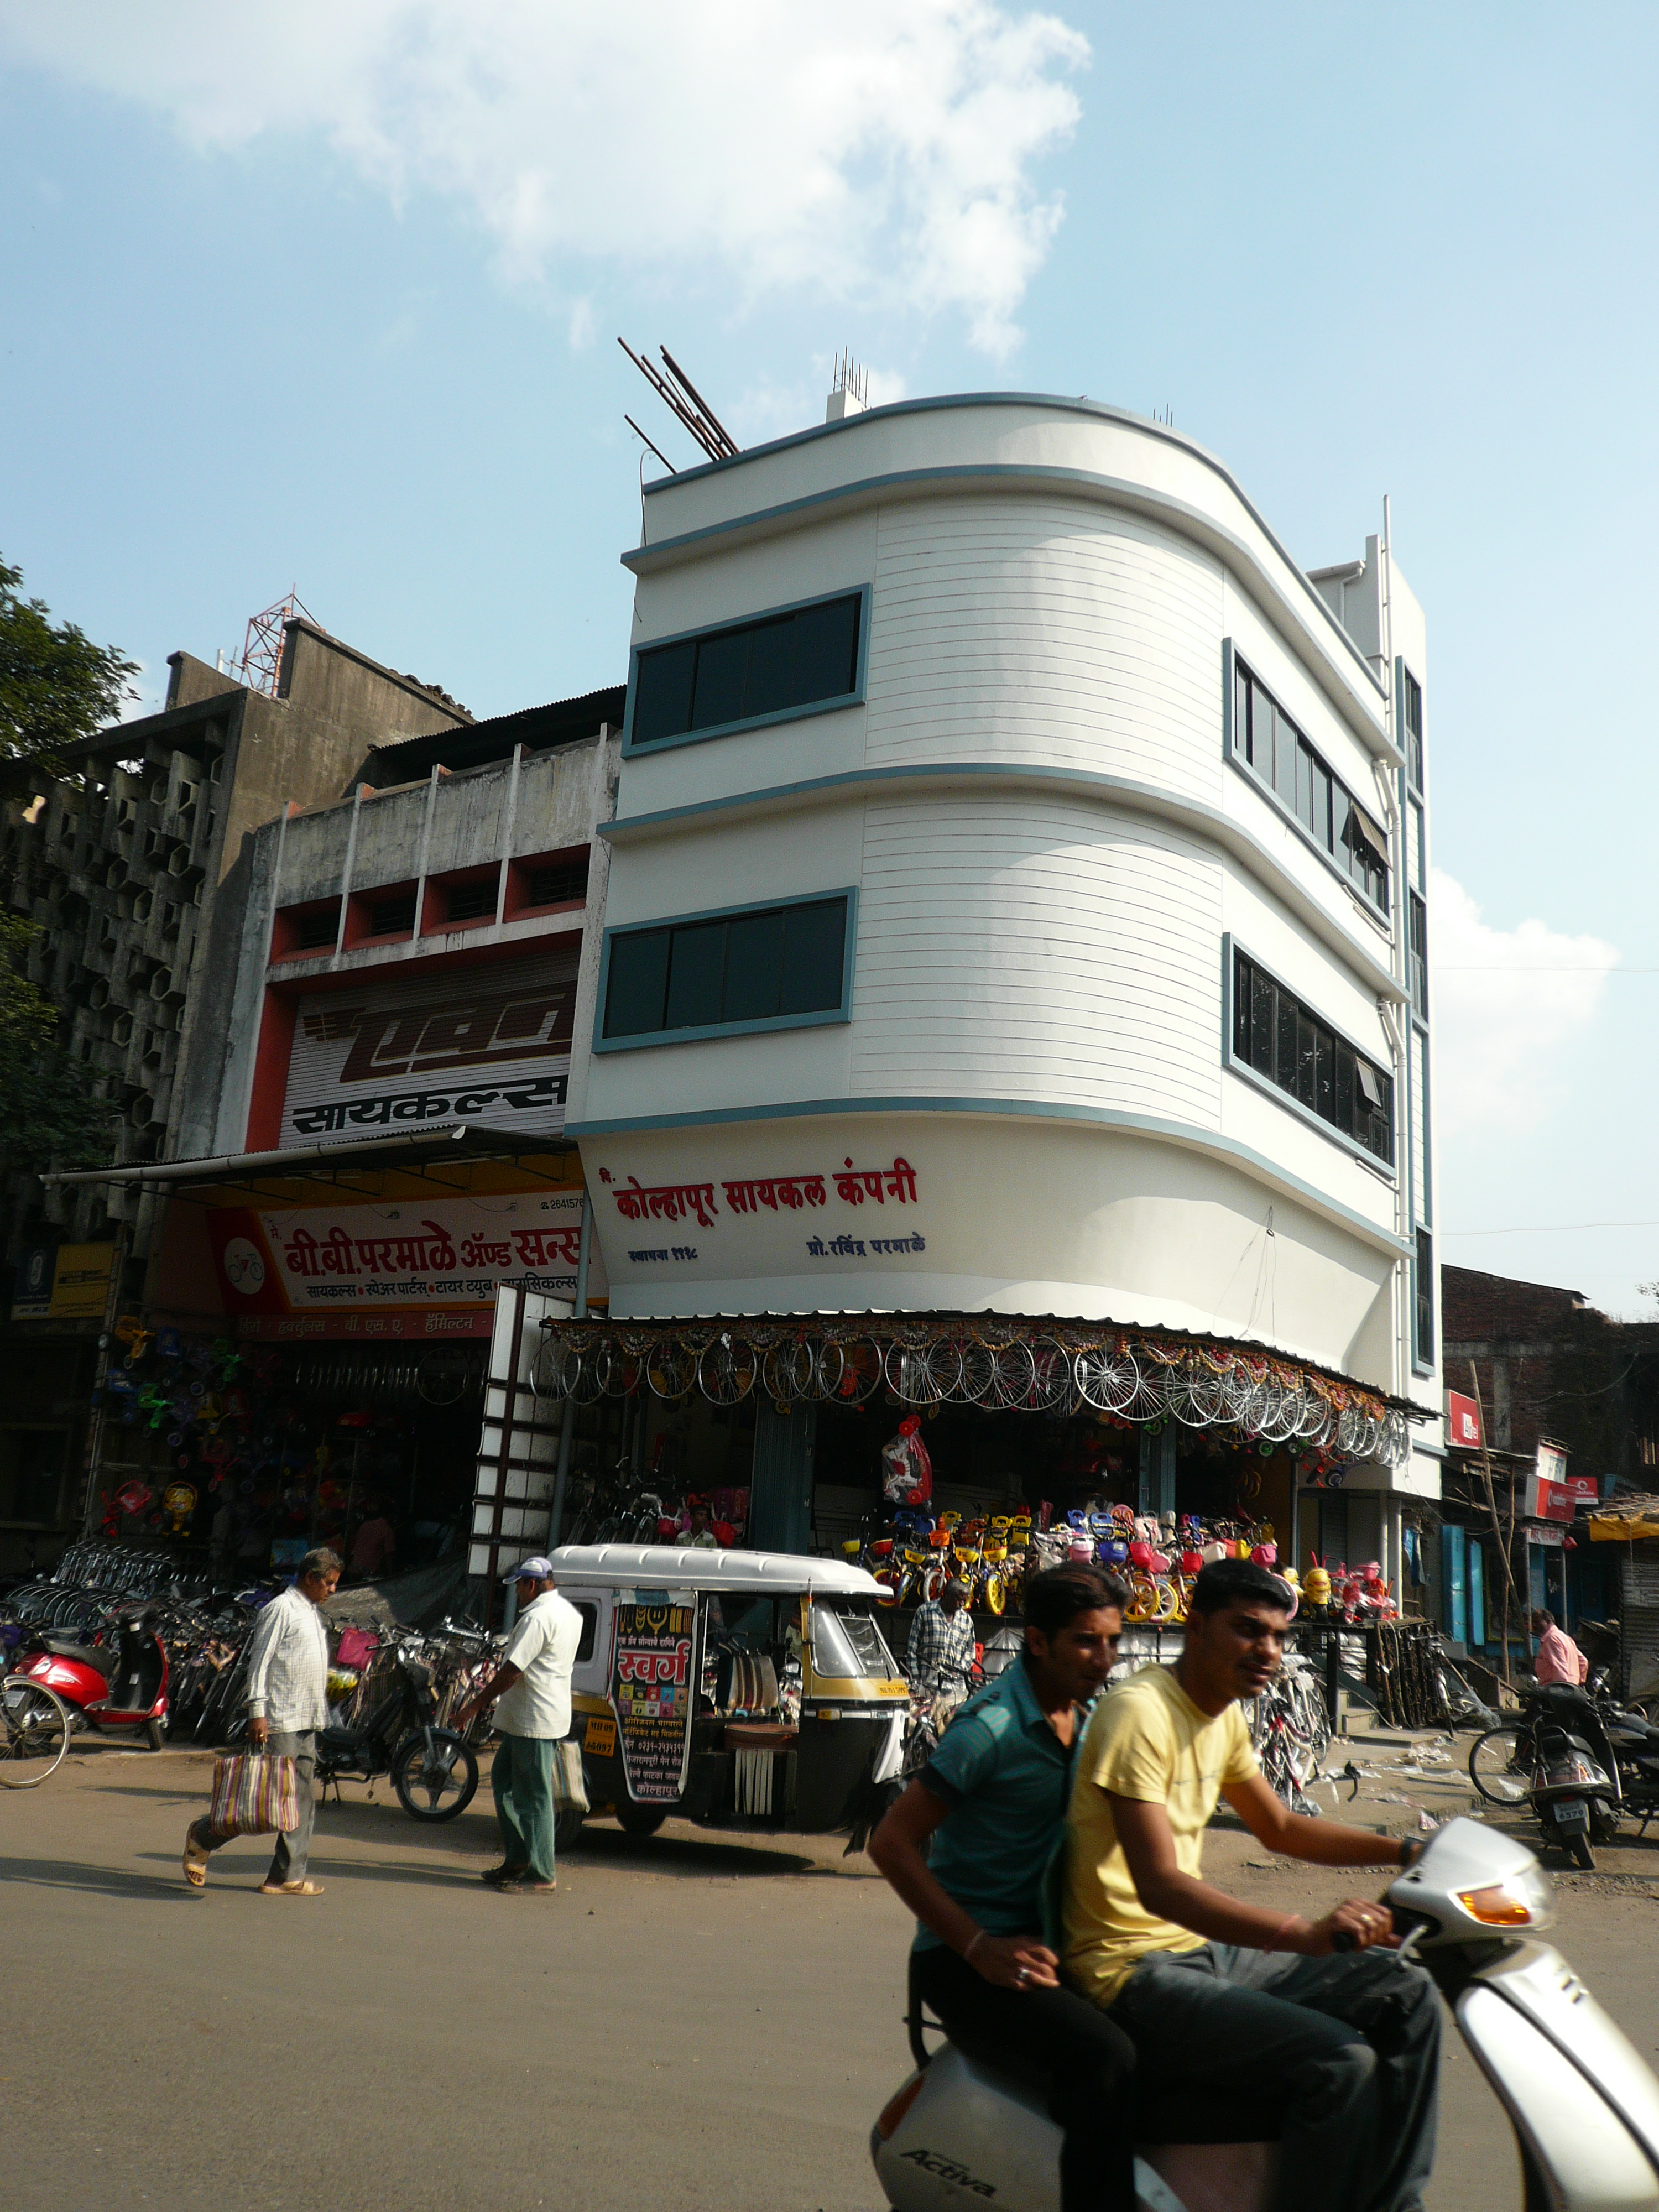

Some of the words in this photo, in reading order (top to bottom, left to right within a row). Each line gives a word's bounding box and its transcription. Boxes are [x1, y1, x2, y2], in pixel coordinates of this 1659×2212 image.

[830, 1150, 921, 1212] कंपनी
[610, 1169, 722, 1232] कोल्हापूर
[714, 1172, 832, 1219] सायकल
[282, 1224, 364, 1281] बी.बी.
[352, 1212, 462, 1277] परमाळे
[455, 1225, 518, 1273] ॲण्ड
[628, 1246, 670, 1265] स्थापना
[671, 1240, 703, 1265] १९१८
[802, 1235, 834, 1262] प्रो.
[826, 1228, 872, 1262] रविंद्र
[865, 1229, 931, 1259] परमाळे
[304, 1282, 359, 1306] सायकल्स
[363, 1276, 399, 1302] स्पेअर
[394, 1273, 432, 1301] पार्टस्
[435, 1275, 467, 1299] टायर
[465, 1277, 497, 1304] टयुब
[275, 1313, 329, 1343] हर्क्युलस
[341, 1309, 367, 1335] बी.
[362, 1315, 408, 1338] एस.ए.
[420, 1309, 478, 1339] हॅमिल्टन
[613, 1634, 630, 1649] ए्क
[635, 1634, 662, 1650] सोन्यच
[656, 1632, 678, 1650] दागिने
[612, 1635, 694, 1688] स्वर्ग
[617, 1724, 652, 1740] सर्टिफिकेट
[620, 1714, 658, 1729] ओरीजनल
[656, 1715, 685, 1730] भाग्वरले
[658, 1726, 686, 1741] मिळतील
[626, 1766, 645, 1781] रेल्वे
[625, 1752, 661, 1772] गजारामपूरी
[641, 1768, 666, 1783] फाटका
[635, 1739, 688, 1757] ०२३१-२५३५३१०
[657, 1752, 674, 1768] मेन
[662, 1768, 682, 1786] जवळ
[669, 1754, 684, 1770] रोड
[635, 1780, 681, 1801] कोल्हापूर